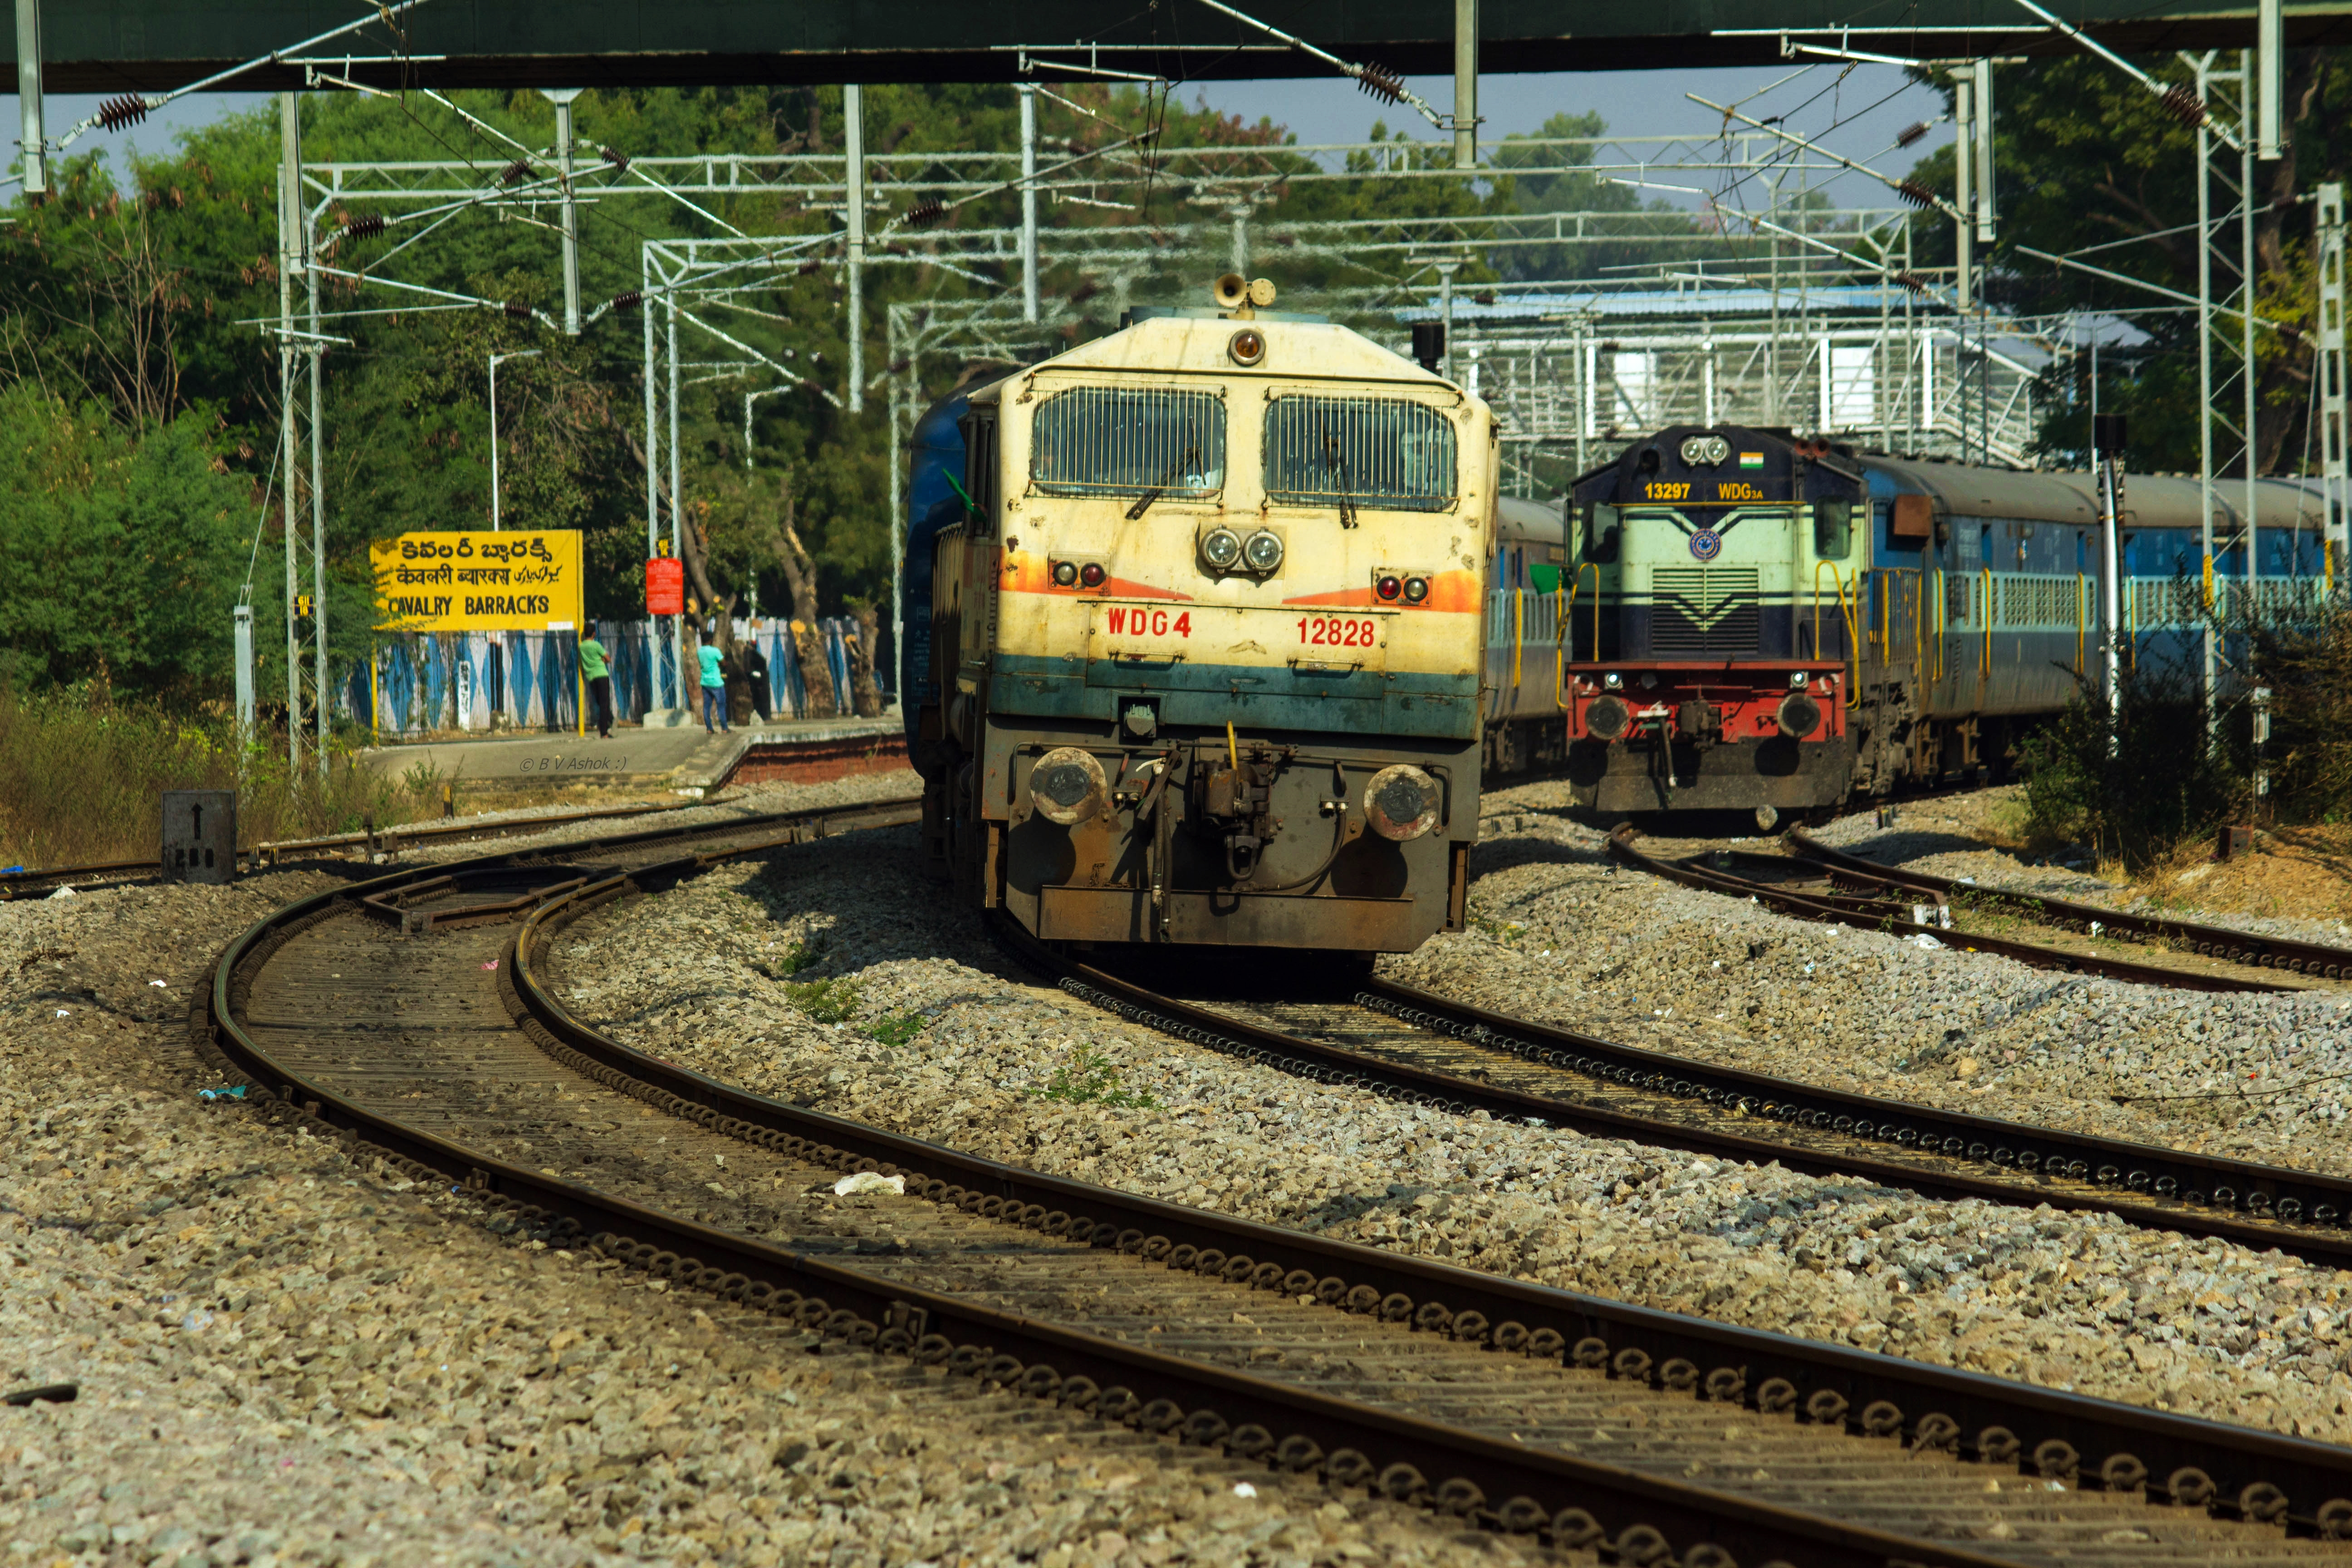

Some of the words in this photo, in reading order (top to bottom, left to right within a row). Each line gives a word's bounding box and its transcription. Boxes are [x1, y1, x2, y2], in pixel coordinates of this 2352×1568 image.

[400, 535, 477, 560] కెవలరీ
[480, 534, 556, 564] బ్యరక్స
[392, 558, 456, 587] केवलरी
[455, 566, 513, 587] ब्यारक्स
[386, 593, 454, 618] CAVALRY
[462, 592, 550, 616] BARRACKS
[1105, 605, 1194, 642] WDG4
[1296, 612, 1380, 650] 12828